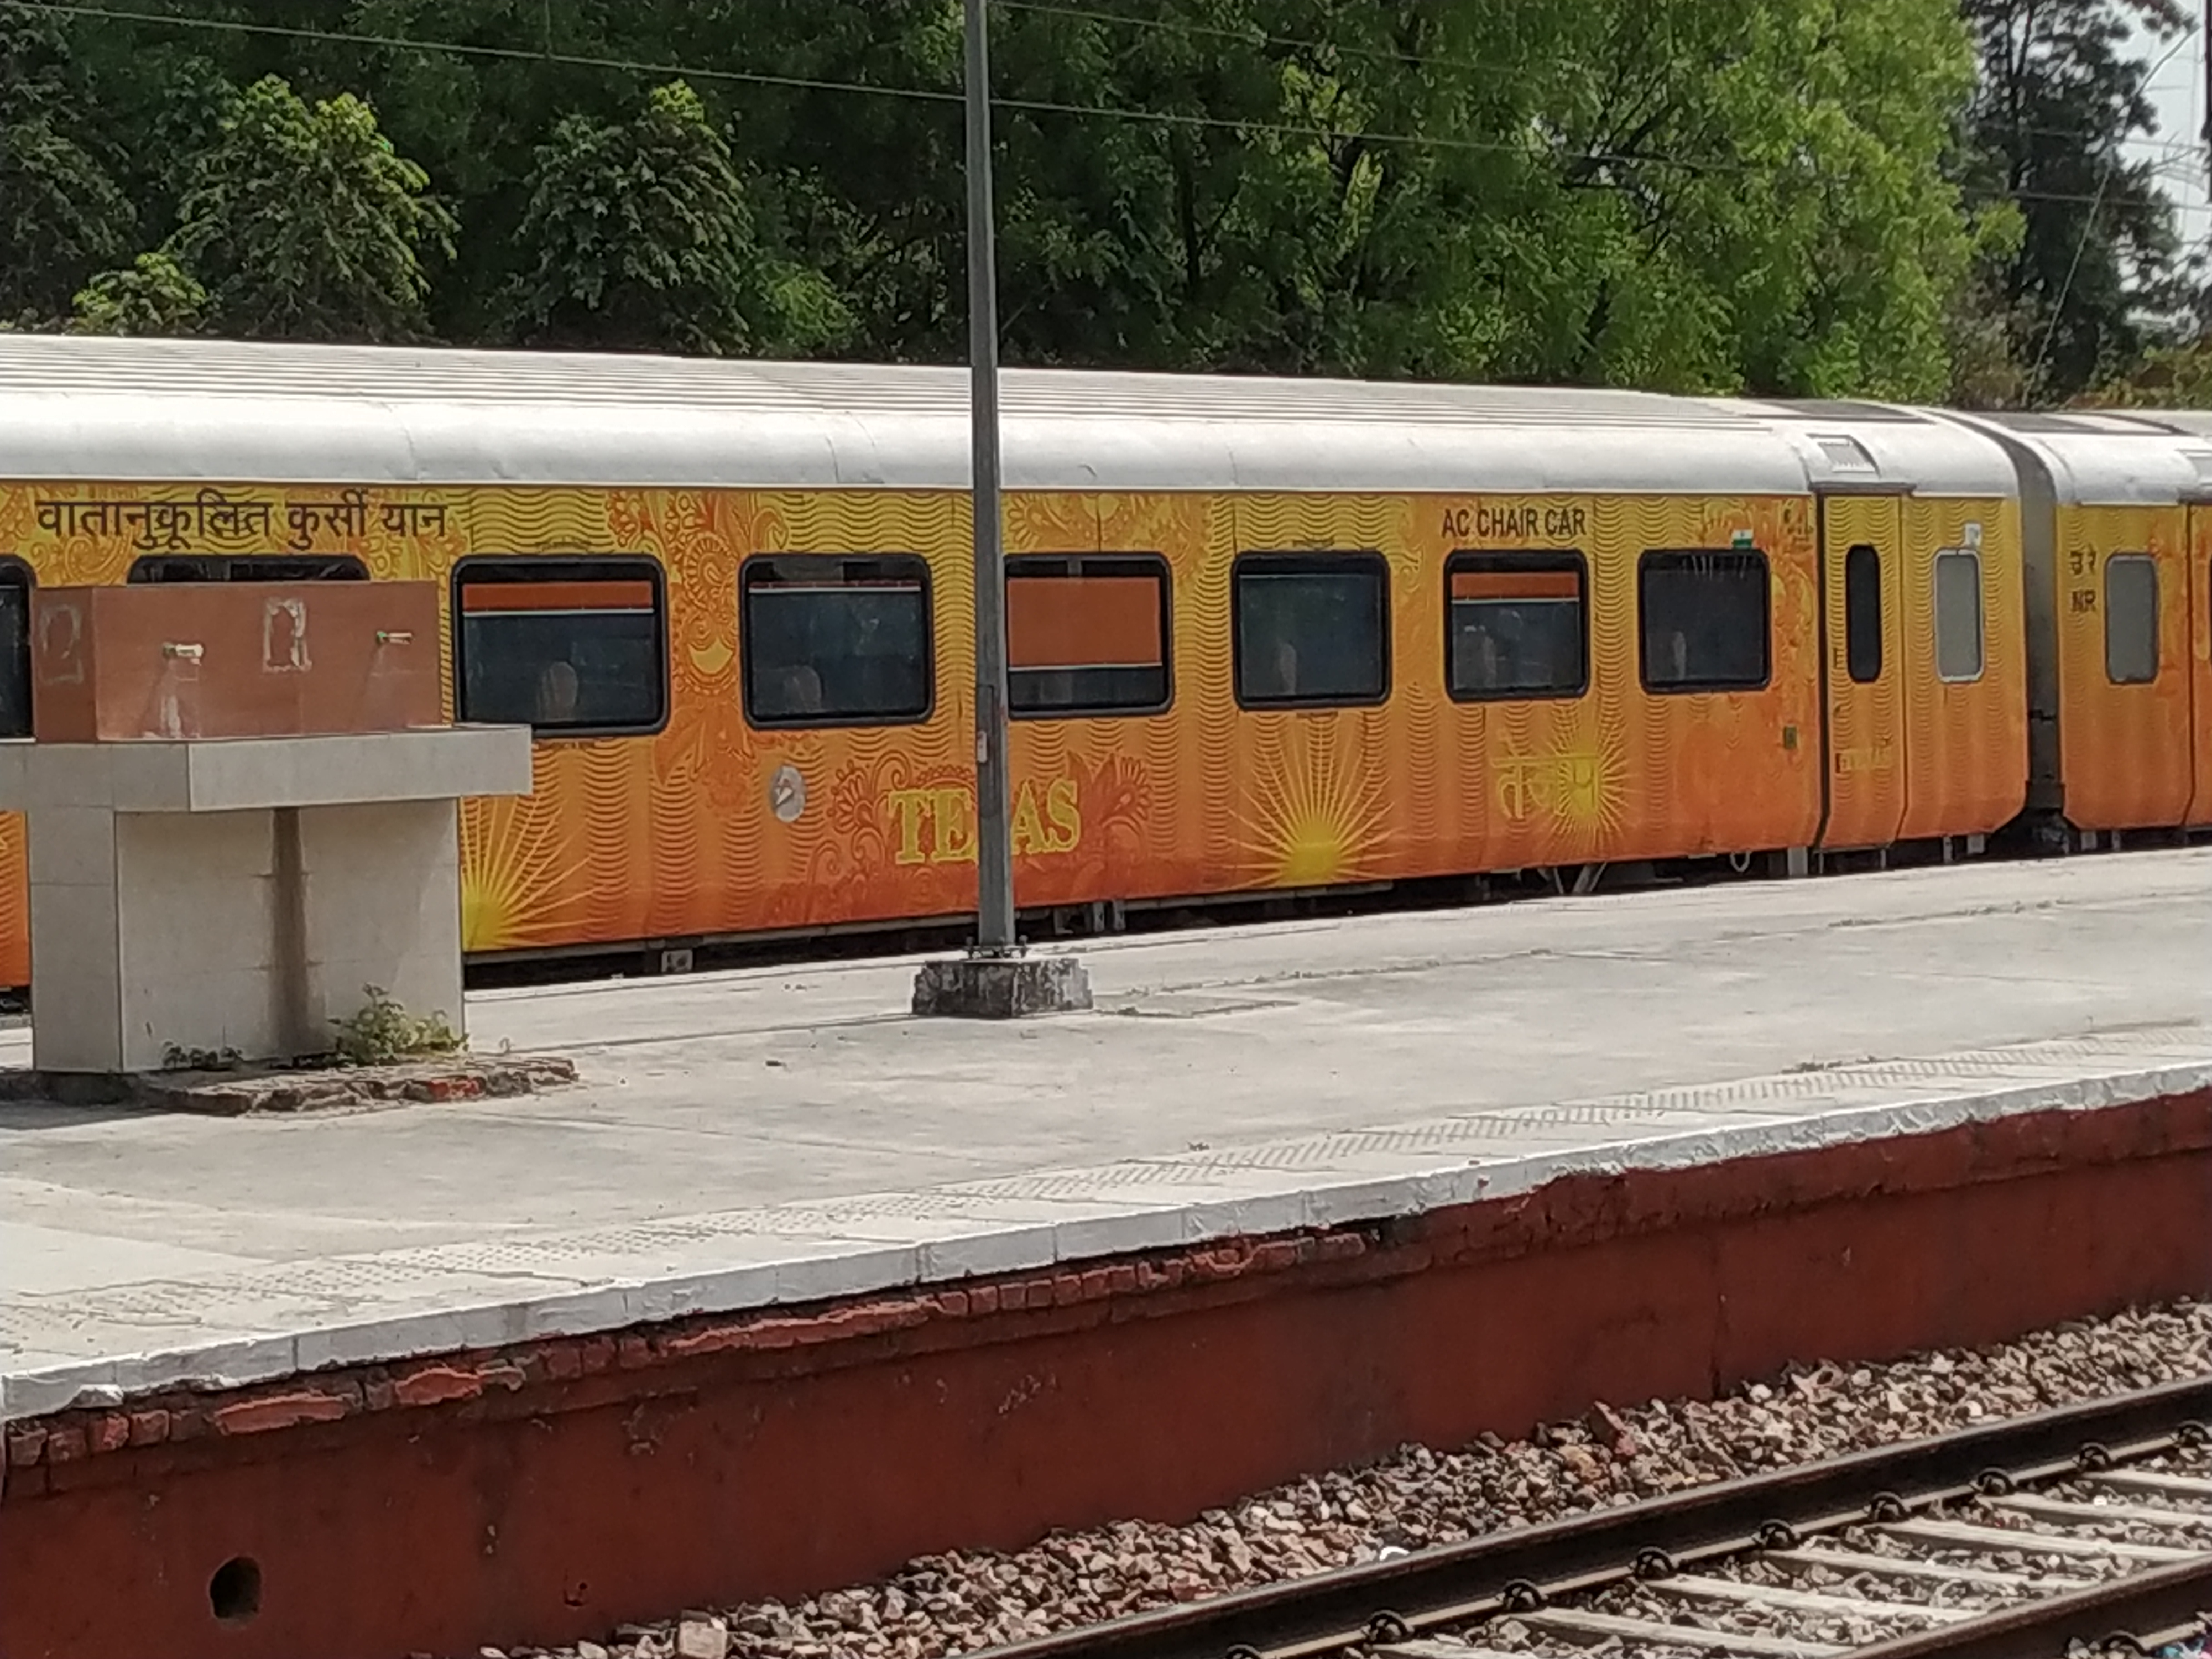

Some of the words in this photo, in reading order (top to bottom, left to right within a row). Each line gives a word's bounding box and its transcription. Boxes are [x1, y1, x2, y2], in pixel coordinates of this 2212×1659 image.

[33, 483, 274, 553] वातानुकूलित
[285, 483, 372, 556] कुर्सी
[374, 492, 453, 547] यान
[1438, 503, 1473, 542] AC
[1473, 505, 1541, 541] CHAIR
[1541, 503, 1592, 539] CAR